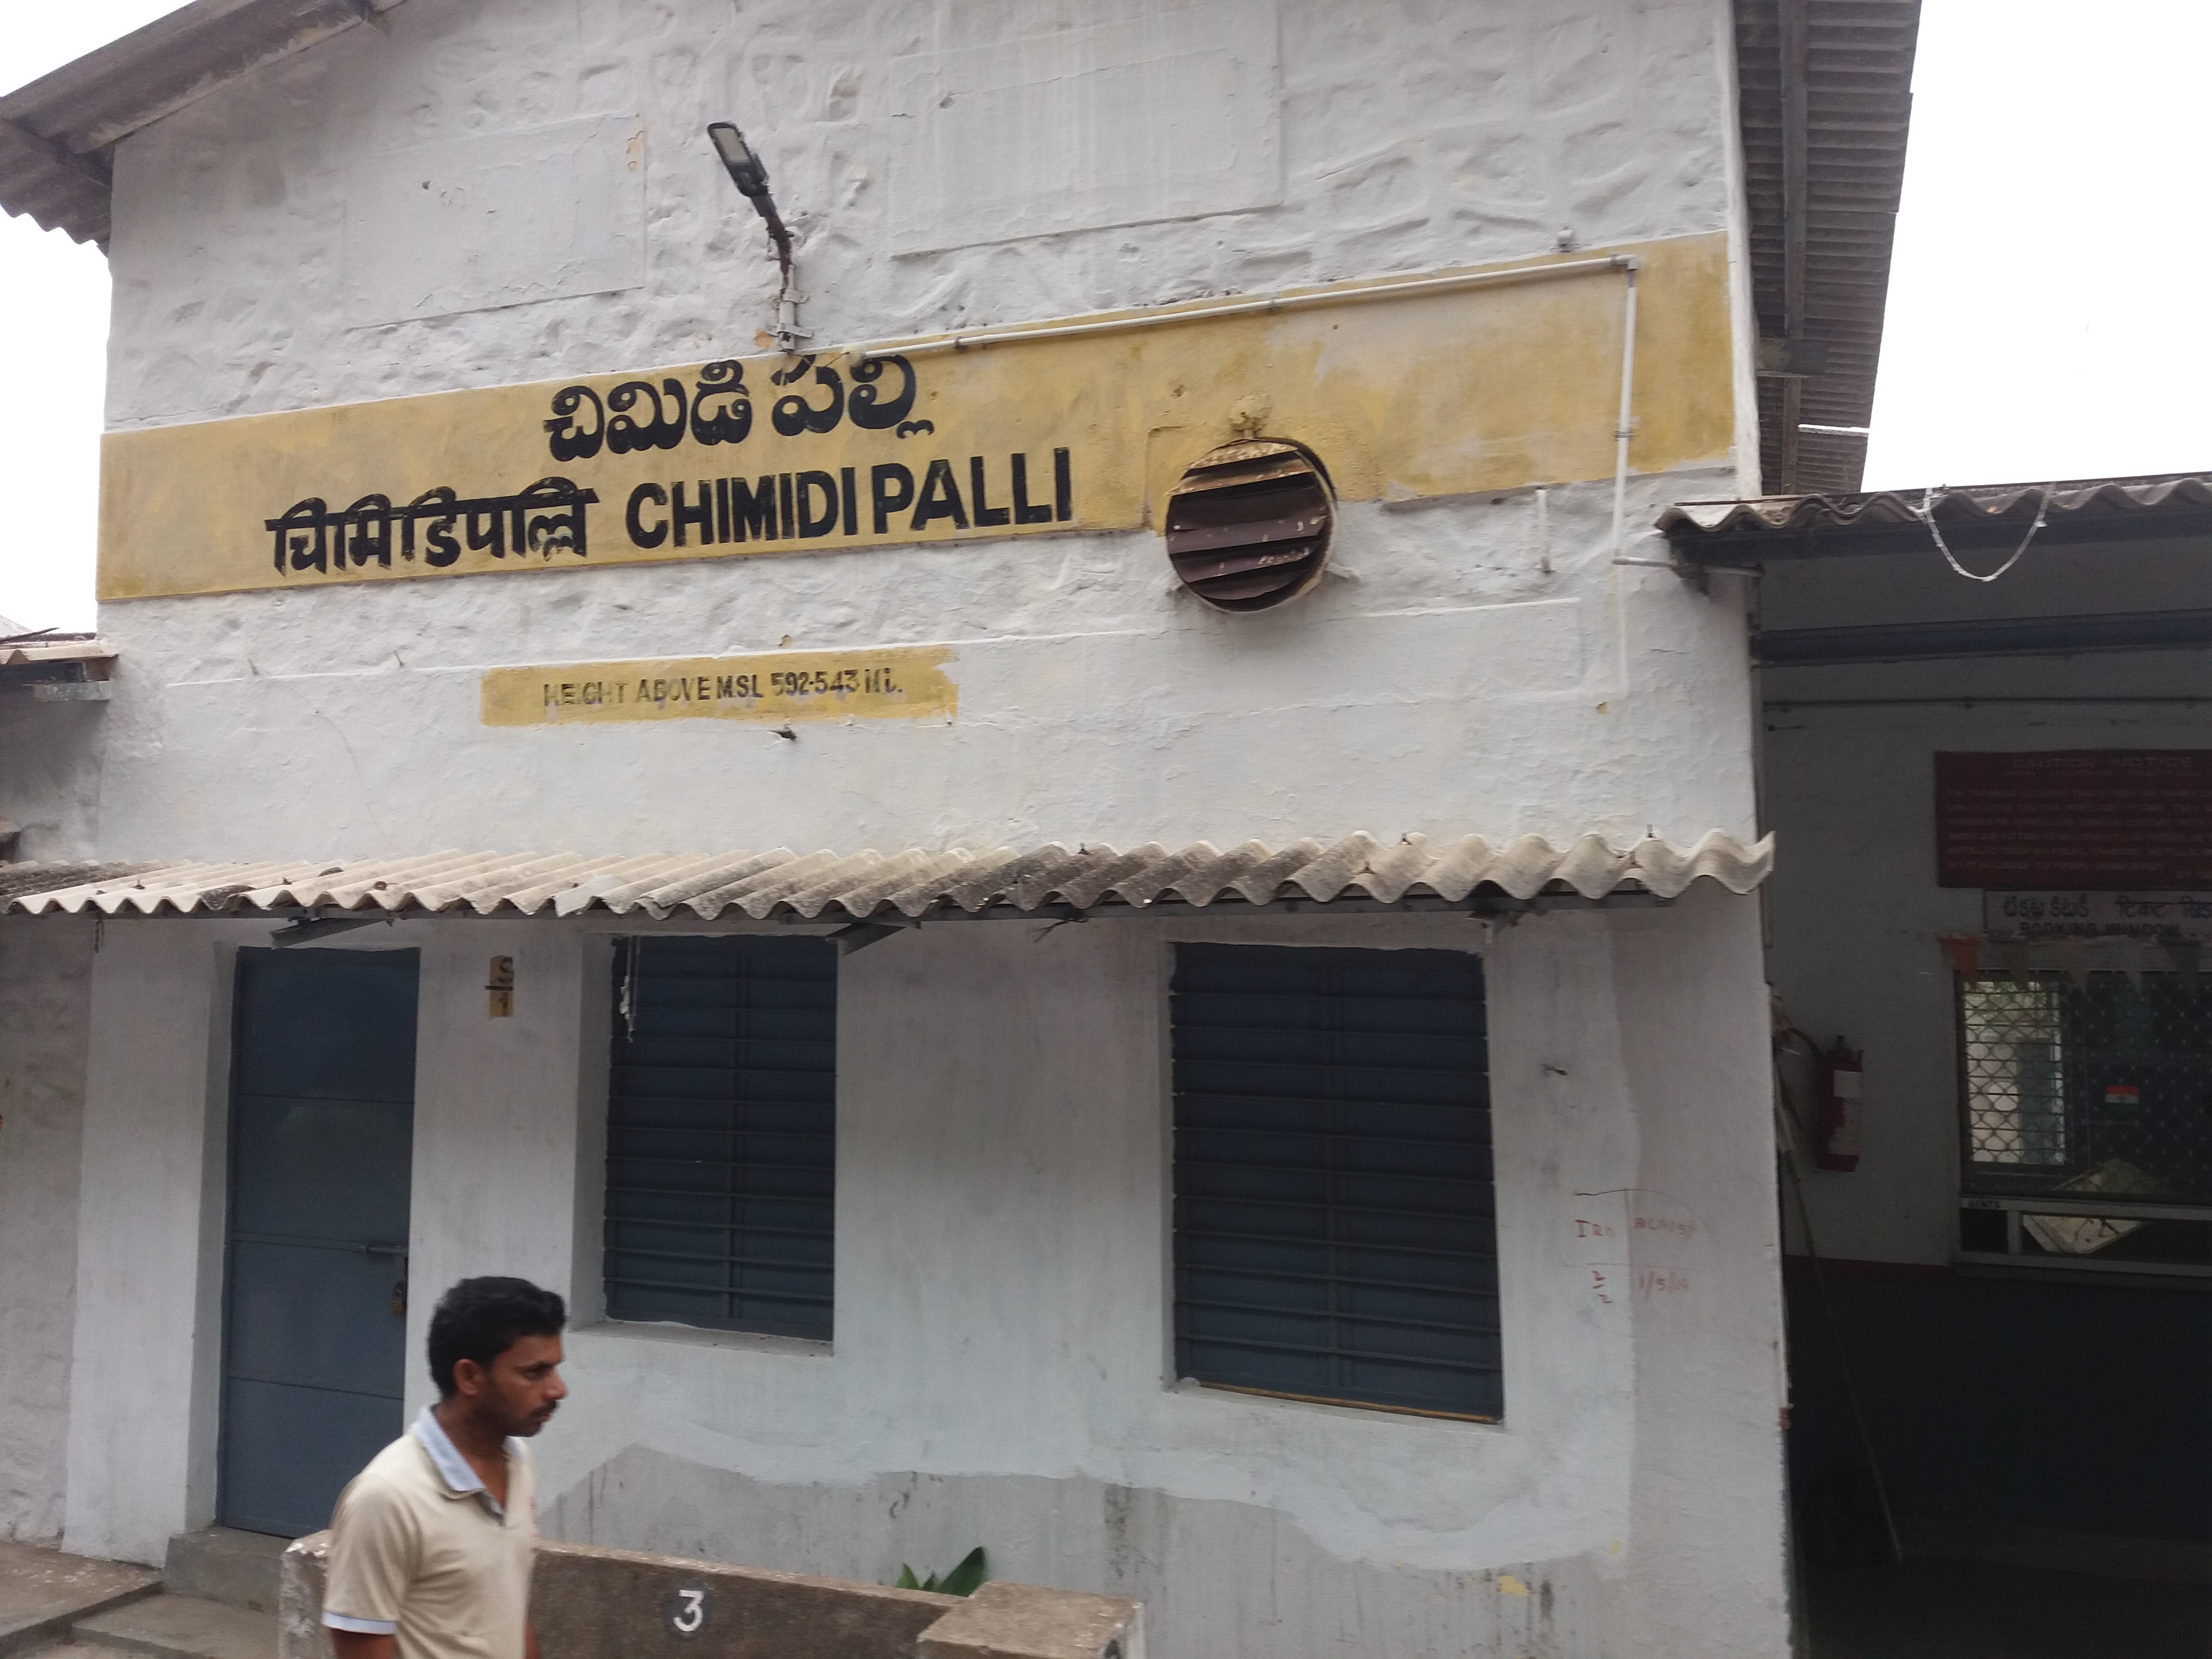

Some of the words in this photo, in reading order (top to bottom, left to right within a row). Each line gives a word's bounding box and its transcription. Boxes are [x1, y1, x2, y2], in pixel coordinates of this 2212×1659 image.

[548, 356, 758, 465] చిమిడి
[768, 345, 939, 449] పల్లి
[261, 469, 610, 580] चिमिडिपल्लि
[617, 440, 1074, 557] CHIMIDIPALLI
[538, 676, 630, 712] HEIGHT
[626, 674, 717, 705] ABOVE
[713, 670, 767, 706] MSL
[768, 661, 902, 711] 592-543ML.